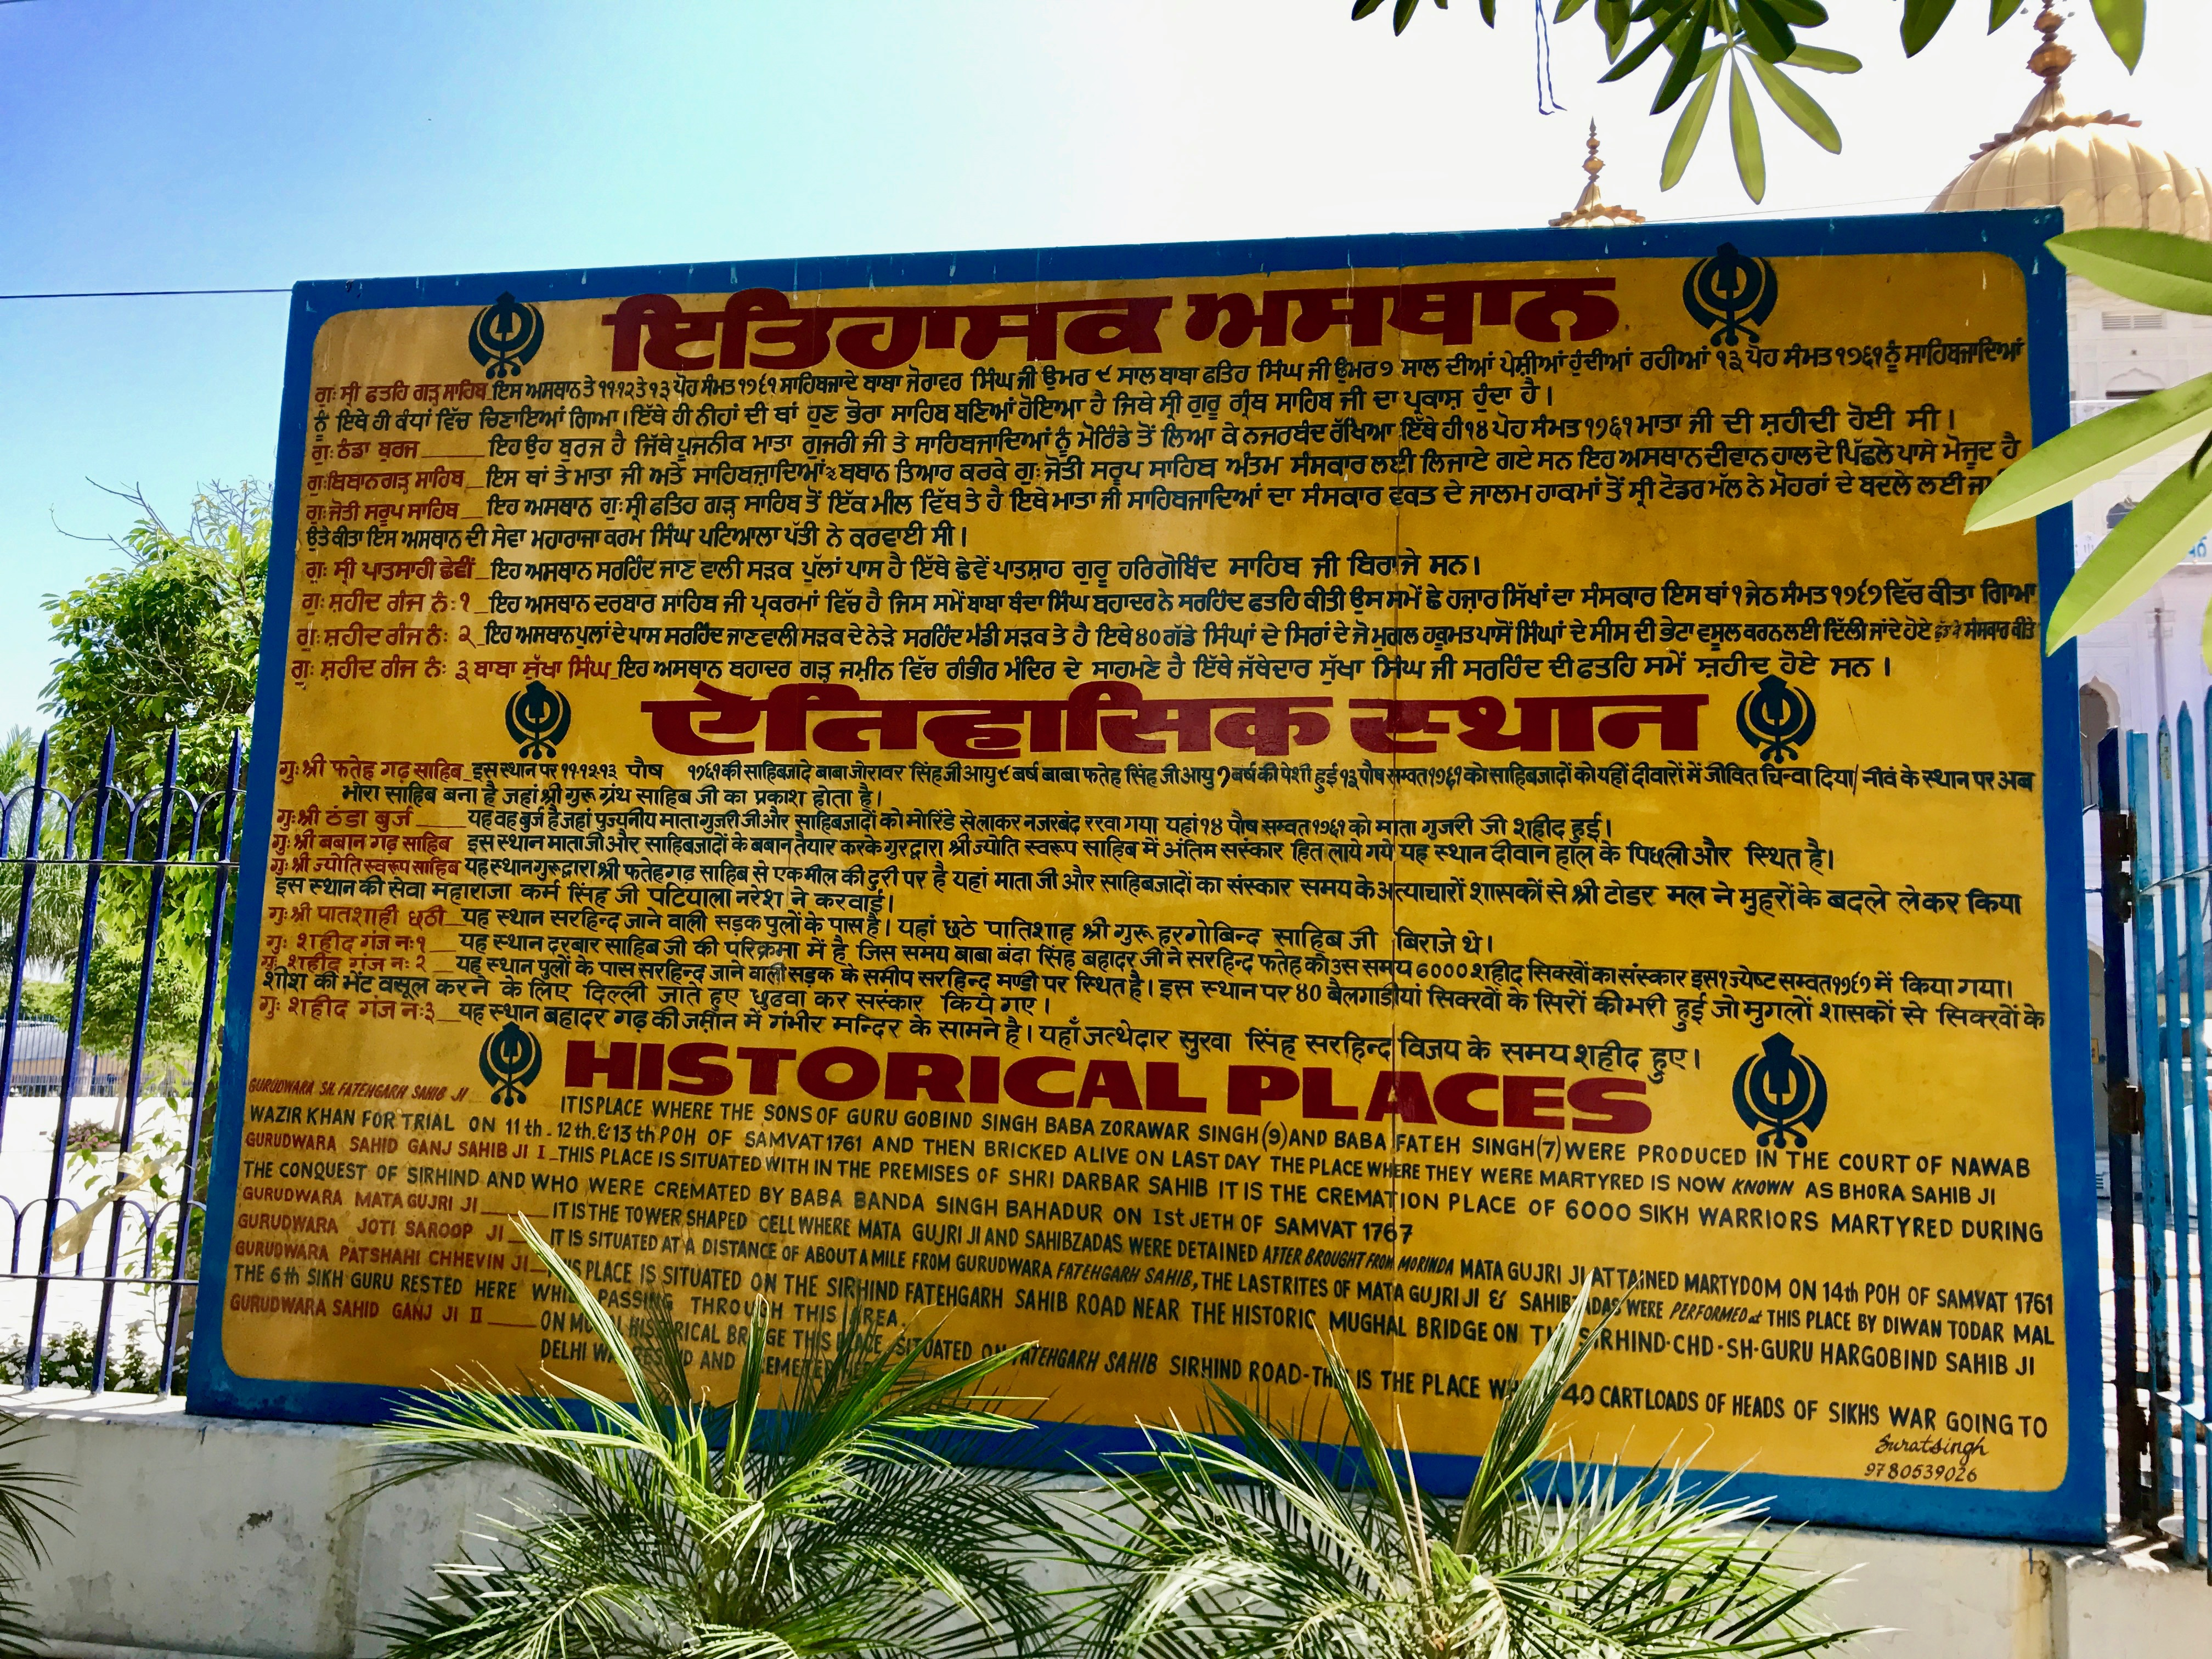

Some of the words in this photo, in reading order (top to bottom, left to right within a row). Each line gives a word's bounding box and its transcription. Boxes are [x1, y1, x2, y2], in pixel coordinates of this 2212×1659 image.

[1179, 275, 1627, 354] ਅਸਥਾਨ
[589, 285, 1178, 376] ਇਤਿਹਾਸਕ
[302, 502, 328, 524] गੁ:
[304, 469, 328, 500] ਗੁ:
[309, 409, 332, 443] ਨੂੰ
[308, 442, 335, 469] ਗੁ:
[309, 380, 338, 409] ਗੁ:
[326, 494, 363, 524] ਜੋਤੀ
[338, 375, 363, 408] ਸ੍ਰੀ
[332, 406, 373, 437] ਇਥੇ
[335, 435, 376, 465] ਠੰਡਾ
[327, 467, 414, 496] ਥਿਥਾਨਗੜ੍ਹ
[370, 406, 393, 434] ਹੀ
[362, 501, 406, 528] ਸਰੂਪ
[363, 376, 413, 405] ਫਤਹਿ
[374, 438, 424, 464] ਬੁਰਜ
[393, 405, 434, 435] ਕੰਧਾਂ
[410, 381, 443, 408] ਗੜ੍ਰ
[405, 495, 465, 523] ਸਾਹਿਬ
[413, 462, 468, 491] ਸਾਹਿਬ
[432, 405, 476, 435] ਵਿੱਚ
[440, 375, 491, 405] ਸਾਹਿਬ
[482, 491, 523, 520] ਇਹ
[484, 462, 523, 491] ਇਸ
[484, 433, 524, 460] ਇਹ
[488, 378, 525, 403] ਇਸ
[475, 402, 568, 433] ਚਿਣਾਇਆਂ
[522, 462, 552, 491] ਥਾਂ
[522, 432, 556, 461] ਉਹ
[523, 376, 583, 403] ਅਸਥਾਨ
[521, 493, 595, 522] ਅਸਥਾਨ
[550, 462, 573, 490] ਤੇ
[555, 435, 607, 464] ਬੁਰਜ
[582, 369, 599, 400] ਤੇ
[566, 402, 622, 433] ਗਿਆ
[573, 463, 616, 489] ਮਾਤਾ
[596, 493, 624, 522] ਗੁ:
[596, 378, 637, 403] ੧੧-੧੨
[607, 426, 629, 458] ਹੈ
[617, 458, 647, 490] ਜੀ
[624, 488, 648, 525] ਸ੍ਰੀ
[633, 372, 648, 400] ਤੇ
[629, 398, 670, 432] ਇੱਥੇ
[631, 430, 676, 460] ਜਿੱਥੇ
[648, 377, 672, 404] ੧੩
[646, 460, 690, 488] ਅਤੇ
[649, 488, 701, 519] ਫਤਿਹ
[670, 400, 695, 432] ਹੀ
[671, 371, 701, 400] ਪੋਹ
[672, 428, 749, 464] ਪੂਜਨੀਕ
[698, 371, 736, 399] ਸੰਸਤ
[693, 399, 743, 431] ਨੀਹਾਂ
[701, 493, 743, 522] ਗੜ੍
[736, 370, 779, 398] ੧੭੬੧
[743, 398, 772, 428] ਦੀ
[689, 455, 828, 489] ਸਾਹਿਬਜ਼ਾਦਿਆਂ
[750, 431, 796, 456] ਮਾਤਾ
[743, 486, 805, 519] ਸਾਹਿਬ
[772, 399, 804, 427] ਥਾਂ
[803, 484, 826, 516] ਤੋਂ
[776, 366, 862, 397] ਸਾਹਿਬਜਾਦੇ
[803, 399, 842, 431] ਹੁਣ
[798, 425, 860, 461] ਗੁਜਰੀ
[823, 461, 839, 486] ਦੇ
[823, 487, 871, 518] ਇੱਕ
[841, 394, 887, 428] ਭੋਗ
[837, 459, 892, 487] ਬਬਾਨ
[860, 425, 891, 457] ਜੀ
[860, 371, 905, 396] ਬਾਬਾ
[869, 486, 916, 520] ਮੀਲ
[888, 427, 913, 456] ਤੇ
[886, 396, 952, 426] ਸਾਹਿਬ
[893, 456, 957, 487] ਤਿਆਰ
[902, 361, 967, 396] ਜੋਰਾਵਰ
[916, 486, 963, 518] ਵਿੱਥ
[961, 484, 984, 516] ਤੇ
[912, 424, 1056, 459] ਸਾਹਿਬਜਾਦਿਆਂ
[956, 455, 1012, 484] ਕਰਕੇ
[951, 394, 1018, 427] ਬਣਿਆਂ
[967, 363, 1017, 394] ਸਿੰਘ
[983, 481, 1008, 517] ਹੈ
[1014, 363, 1040, 391] ਜੀ
[1012, 458, 1043, 488] ਗੁ:
[1006, 483, 1052, 517] ਇਥੇ
[1013, 390, 1088, 424] ਹੋਇਆ
[1054, 424, 1075, 459] ਨੂੰ
[1041, 450, 1088, 486] ਜੋਤੀ
[1039, 363, 1093, 393] ਉਮਰ
[1051, 488, 1099, 513] ਮਾਤਾ
[1086, 385, 1109, 416] ਹੈ
[1092, 361, 1115, 387] ੮
[1075, 417, 1135, 454] ਮੋਰਿੰਡੇ
[1098, 486, 1124, 513] ਜੀ
[1088, 453, 1148, 487] ਸਰੂਪ
[1110, 388, 1159, 419] ਜਿਥੇ
[1113, 362, 1158, 389] ਸਾਲ
[1135, 417, 1160, 448] ਤੇਂ
[1155, 387, 1186, 424] ਸ੍ਰੀ
[1157, 363, 1202, 389] ਬਾਬਾ
[1147, 449, 1221, 481] ਸਾਹਿਬ
[1159, 421, 1218, 452] ਲਿਆ
[1125, 479, 1266, 517] ਸਾਹਿਖਜਦਿਆਂ
[1184, 391, 1224, 425] ਰੁਰੂ
[1200, 356, 1254, 388] ਫਤਿਹ
[1217, 418, 1242, 449] ਕੇ
[1225, 385, 1271, 422] ਗ੍ਰੰਥ
[1222, 448, 1288, 480] ਅੰਤਮ
[1253, 351, 1307, 385] ਸਿੰਘ
[1263, 481, 1299, 511] ਦਾ
[1242, 417, 1329, 448] ਨਜਰਬੰਦ
[1271, 384, 1338, 415] ਸਾਹਿਬ
[1305, 352, 1334, 386] ਜੀ
[1286, 448, 1370, 481] ਸੰਸਕਾਰ
[1296, 480, 1386, 512] ਸੰਸਕਾਰ
[1336, 380, 1370, 414] ਜੀ
[1333, 354, 1381, 385] ਉਮਰ
[1327, 412, 1398, 448] ਰੱਖਿਆ
[1370, 387, 1401, 414] ਦਾ
[1378, 357, 1398, 380] 9
[1368, 445, 1419, 478] ਲਈ
[1385, 483, 1440, 509] ਵਕਤ
[1396, 411, 1441, 445] ਇੱਥੇ
[1397, 352, 1444, 382] ਸਾਲ
[1401, 387, 1468, 415] ਪ੍ਰਕਾਸ਼
[1440, 412, 1465, 444] ਹੀ
[1440, 477, 1468, 510] ਦੇ
[1418, 443, 1493, 477] ਲਿਜਾਏ
[1443, 347, 1497, 380] ਦੀਆਂ
[1464, 416, 1491, 443] ੧8
[1468, 379, 1515, 415] ਹੁੰਦਾ
[1465, 480, 1536, 510] ਜਾਲਮ
[1488, 409, 1530, 442] ਪੋਹ
[1493, 442, 1537, 475] ਗਏ
[1517, 375, 1544, 409] ਹੈ
[1496, 347, 1569, 382] ਪੇਸ਼ੀਆਂ
[1536, 445, 1575, 473] ਸਨ
[1529, 410, 1583, 442] ਸੰਮਤ
[1534, 475, 1605, 509] ਹਾਕਮਾਂ
[1575, 443, 1617, 473] ਇਹ
[1566, 343, 1638, 379] ਹੁੰਦੀਆਂ
[1582, 411, 1634, 442] ੧੭੩੧
[1599, 470, 1627, 507] ਤੋਂ
[1626, 471, 1658, 513] ਸ੍ਰੀ
[1632, 410, 1686, 440] ਮਾਤਾ
[1616, 443, 1705, 472] ਅਸਥਾਨ
[1635, 341, 1713, 376] ਰਹੀਆਂ
[1657, 469, 1708, 504] ਟੋਡਰ
[1685, 403, 1717, 437] ਜੀ
[1706, 470, 1746, 502] ਮੱਲ
[1713, 347, 1747, 382] ੧੩
[1702, 438, 1769, 471] ਦੀਵਾਨ
[1719, 404, 1758, 438] ਦੀ
[1743, 469, 1767, 502] ਨੇ
[1742, 342, 1781, 373] ਪੋਹ
[1769, 442, 1815, 471] ਹਾਲ
[1757, 401, 1843, 440] ਸ਼ਹੀਦੀ
[1767, 466, 1833, 500] ਮੋਹਰਾਂ
[1780, 340, 1835, 373] ਸੰਮਤ
[1813, 437, 1835, 469] ਦੇ
[1832, 468, 1857, 501] ਦੇ
[1833, 342, 1884, 373] ੧੭६੧
[1833, 435, 1897, 468] ਪਿੱਛਲੇ
[1843, 398, 1900, 435] ਹੋਈ
[1856, 466, 1915, 502] ਬਦਲੇ
[1882, 337, 1902, 376] ਨੂੰ
[1894, 435, 1939, 466] ਪਾਸੇ
[1901, 400, 1945, 435] ਸੀ
[1914, 469, 1968, 498] ਲਈ
[1903, 333, 2028, 367] ਸਾਹਿਬਜਾਦਿਆਂ
[1939, 431, 1999, 471] ਮੋਜੂਦ
[1967, 472, 1994, 498] ਜਾ
[1997, 426, 2024, 464] ਹੈ
[302, 523, 333, 554] ਉਤੇ
[331, 524, 365, 550] ਕੀਤਾ
[363, 522, 400, 550] ਇਸ
[399, 524, 465, 552] ਅਸਥਾਨ
[464, 520, 490, 551] ਦੀ
[489, 521, 529, 554] ਸੇਵਾ
[527, 526, 602, 554] ਮਹਾਰਾਜਾ
[602, 526, 648, 550] ਕਰਮ
[647, 518, 697, 551] ਸਿੰਘ
[696, 520, 784, 550] ਪਟਿਆਲਾ
[782, 518, 825, 552] ਪੱਤੀ
[823, 517, 847, 552] ਨੇ
[845, 517, 929, 552] ਕਰਵਾਈ
[929, 517, 959, 550] ਸੀ
[301, 555, 330, 588] ਗੁ:
[331, 552, 359, 589] ਸ੍ਰੀ
[360, 554, 439, 584] ਪਾਤਸਾਹੀ
[437, 552, 478, 584] ਛੇਵੀਂ
[488, 555, 524, 584] ਇਹ
[523, 557, 594, 586] ਅਸਥਾਨ
[594, 552, 659, 586] ਸਰਹਿੰਦ
[653, 557, 699, 582] ਜਾਣ
[698, 552, 746, 583] ਵਾਲੀ
[743, 558, 797, 583] ਸੜਕ
[797, 551, 844, 586] ਪੁੱਲਾ
[842, 555, 886, 583] ਪਾਸ
[885, 549, 909, 583] ਹੈ
[909, 551, 953, 585] ਇੱਥੇ
[953, 551, 991, 584] ਛੇਵੇਂ
[989, 555, 1069, 586] ਪਾਤਸਾਹ
[1068, 555, 1114, 592] ਗੁਰੂ
[1114, 548, 1222, 585] ਹਰਿਗੋਬਿੰਦ
[1224, 548, 1306, 581] ਸਾਇਬ
[1310, 544, 1345, 582] ਜੀ
[1345, 544, 1427, 583] ਬਿਰਾਜੇ
[1425, 551, 1472, 580] ਸਨ
[297, 590, 328, 619] ਗੁਃ
[325, 585, 386, 618] ਸ਼ਹੀਦ
[383, 587, 428, 615] ਗੰਜ
[427, 587, 458, 616] ਨੰਃ
[458, 586, 475, 615] ੧
[485, 586, 524, 616] ਇਹ
[522, 590, 593, 616] ਅਸਥਾਨ
[592, 589, 660, 618] ਦਰਬਾਰ
[657, 584, 721, 617] ਸਾਹਿਬ
[721, 585, 749, 620] ਜੀ
[748, 586, 824, 624] ਪ੍ਰਕਰਮਾਂ
[823, 585, 865, 617] ਵਿੱਚ
[863, 583, 886, 615] ਹੈ
[885, 587, 930, 617] ਜਿਸ
[929, 585, 968, 617] ਸਮੇਂ
[966, 591, 1006, 618] ਬਾਬਾ
[1006, 586, 1046, 617] ਬੰਦਾ
[1045, 586, 1092, 615] ਸਿੰਘ
[1091, 589, 1159, 619] ਬਹਾਦਰ
[1154, 584, 1176, 616] ਨੇ
[1176, 583, 1248, 616] ਸਰਹਿੰਦ
[1245, 583, 1302, 617] ਫਤਹਿ
[1301, 581, 1348, 616] ਕੀਤੀ
[1348, 582, 1386, 617] ਉਸ
[1384, 579, 1424, 615] ਸਮੇਂ
[1421, 579, 1446, 616] ਛੇ
[1444, 582, 1501, 616] ਹਜ਼ਾਰ
[1499, 577, 1553, 614] ਸਿੱਖਾਂ
[1549, 585, 1577, 611] ਦਾ
[1576, 578, 1660, 613] ਸੰਸਕਾਰ
[1660, 575, 1703, 611] ਇਸ
[1702, 578, 1731, 610] ਥਾਂ
[1731, 579, 1745, 610] ੧
[1743, 576, 1779, 608] ਜੇਠ
[1778, 578, 1831, 609] ਸੰਮਤ
[1829, 575, 1883, 611] ੧੭੬੭
[1882, 573, 1927, 611] ਵਿੱਚ
[1926, 573, 1978, 610] ਕੀਤਾ
[1978, 573, 2040, 608] ਗਿਆ
[294, 624, 322, 656] ਗੁਃ
[321, 618, 385, 650] ਸ਼ਹੀਦ
[383, 618, 426, 649] ਗੰਜ
[422, 620, 452, 652] ਨੰਃ
[453, 618, 479, 653] ੨
[481, 618, 514, 649] ਇਹ
[512, 622, 576, 649] ਅਸਥਾਨ
[572, 616, 612, 650] ਪੁਲਾਂ
[608, 617, 628, 647] ਦੇ
[626, 622, 664, 650] ਪਾਸ
[662, 620, 726, 646] ਸਰਹਿੰਦ
[725, 620, 800, 649] ਜਾਣਵਾਲੀ
[799, 624, 848, 651] ਸੜਕ
[847, 618, 866, 650] ਦੇ
[863, 619, 899, 651] ਨੇੜੇ
[899, 620, 965, 650] ਸਰਹਿੰਦ
[964, 618, 1003, 653] ਮੰਡੀ
[1000, 623, 1051, 651] ਸੜਕ
[1049, 619, 1071, 648] ਤੇ
[1068, 617, 1093, 649] ਹੈ
[1093, 618, 1135, 652] ਇਥੇ
[1133, 624, 1163, 651] 8੦
[1161, 620, 1199, 651] ਗੱਡੇ
[1198, 617, 1259, 650] ਸਿੰਘਾਂ
[1260, 619, 1283, 650] ਦੇ
[1283, 617, 1333, 650] ਸਿਰਾਂ
[1331, 617, 1352, 652] ਦੇ
[1350, 617, 1372, 650] ਜੇ
[1370, 623, 1420, 654] ਮੁਗਲ
[1419, 622, 1476, 654] ਹਕੂਮਤ
[1475, 614, 1515, 647] ਪਾਸੋਂ
[1514, 614, 1567, 648] ਸਿੰਘਾਂ
[1568, 613, 1589, 645] ਦੇ
[1588, 613, 1633, 645] ਸੀਸ
[1632, 613, 1657, 646] ਦੀ
[1657, 611, 1696, 645] ਭੇਟਾ
[1695, 618, 1743, 652] ਵਸੂਲ
[1742, 616, 1785, 644] ਕਰਨ
[1781, 614, 1822, 643] ਲਈ
[1821, 613, 1869, 645] ਦਿੱਲੀ
[1868, 615, 1904, 644] ਜਾਦੇ
[1902, 612, 1934, 642] ਹੋਏ
[1932, 616, 1953, 646] ਫੱਤਾ
[1951, 616, 1963, 640] ਕੇ
[1962, 614, 2010, 644] ਸੰਸਕਾਰ
[2010, 614, 2038, 642] ਕੀਤੇ
[286, 655, 318, 689] ਗੁਃ
[317, 652, 377, 684] ਸਹੀਦ
[379, 651, 420, 682] ਗੰਜ
[420, 650, 452, 684] ਨੰਃ
[452, 652, 473, 691] ੩
[471, 657, 522, 683] ਬਾਬਾ
[518, 651, 566, 681] ਸੁੱਖਾ
[565, 650, 618, 684] ਸਿੰਘ
[613, 651, 652, 682] ਇਹ
[652, 656, 727, 683] ਅਸਥਾਨ
[725, 658, 795, 682] ਬਹਾਦਰ
[798, 658, 837, 683] ਗੜ੍ਹ
[834, 653, 898, 686] ਜਸ਼ੀਨ
[898, 652, 943, 685] ਵਿੱਚ
[943, 650, 1002, 689] ਗੰਭੀਰ
[1001, 652, 1058, 687] ਮੰਦਿਰ
[1060, 650, 1088, 684] ਦੇ
[1087, 652, 1166, 682] ਸਾਹਮਣੇ
[1165, 649, 1189, 684] ਹੈ
[1190, 650, 1237, 684] ਇੱਥੇ
[1234, 650, 1314, 684] ਜੱਥੇਦਾਰ
[1316, 650, 1368, 689] ਸੁੱਖਾ
[1369, 652, 1427, 685] ਸਿੰਘ
[1427, 651, 1459, 687] ਜੀ
[1460, 651, 1547, 684] ਸਰਹਿੰਦ
[1546, 648, 1577, 684] ਦੀ
[1575, 649, 1641, 685] ਫਤਹਿ
[1642, 645, 1694, 684] ਸਮੇਂ
[1691, 646, 1775, 685] ਸ਼ਹੀਦ
[1775, 646, 1823, 680] ਹੋਏ
[1823, 653, 1880, 685] ਸਨ
[622, 678, 1336, 763] ऐतिहासिक
[1342, 690, 1717, 758] स्थान
[276, 756, 300, 789] गु:
[299, 749, 329, 782] श्री
[328, 751, 379, 782] फतेह
[338, 780, 382, 806] भोरा
[379, 757, 413, 784] गढ़
[381, 778, 441, 811] साहिब
[412, 753, 466, 785] साहिब
[439, 785, 480, 808] बना
[469, 759, 500, 784] इस
[478, 779, 501, 809] है
[499, 759, 538, 783] स्थान
[500, 782, 541, 810] जहां
[538, 760, 561, 781] पर
[538, 780, 565, 806] श्री
[563, 785, 599, 808] गुरू
[559, 759, 620, 783] ੧੧.੧੨.੧੩
[597, 782, 633, 808] ग्रंथ
[622, 752, 667, 781] पौष
[633, 783, 695, 811] साहिब
[684, 759, 721, 782] ੧੭੬੧
[695, 782, 722, 809] जी
[721, 758, 743, 782] की
[721, 786, 751, 808] का
[742, 757, 815, 787] साहिबजादे